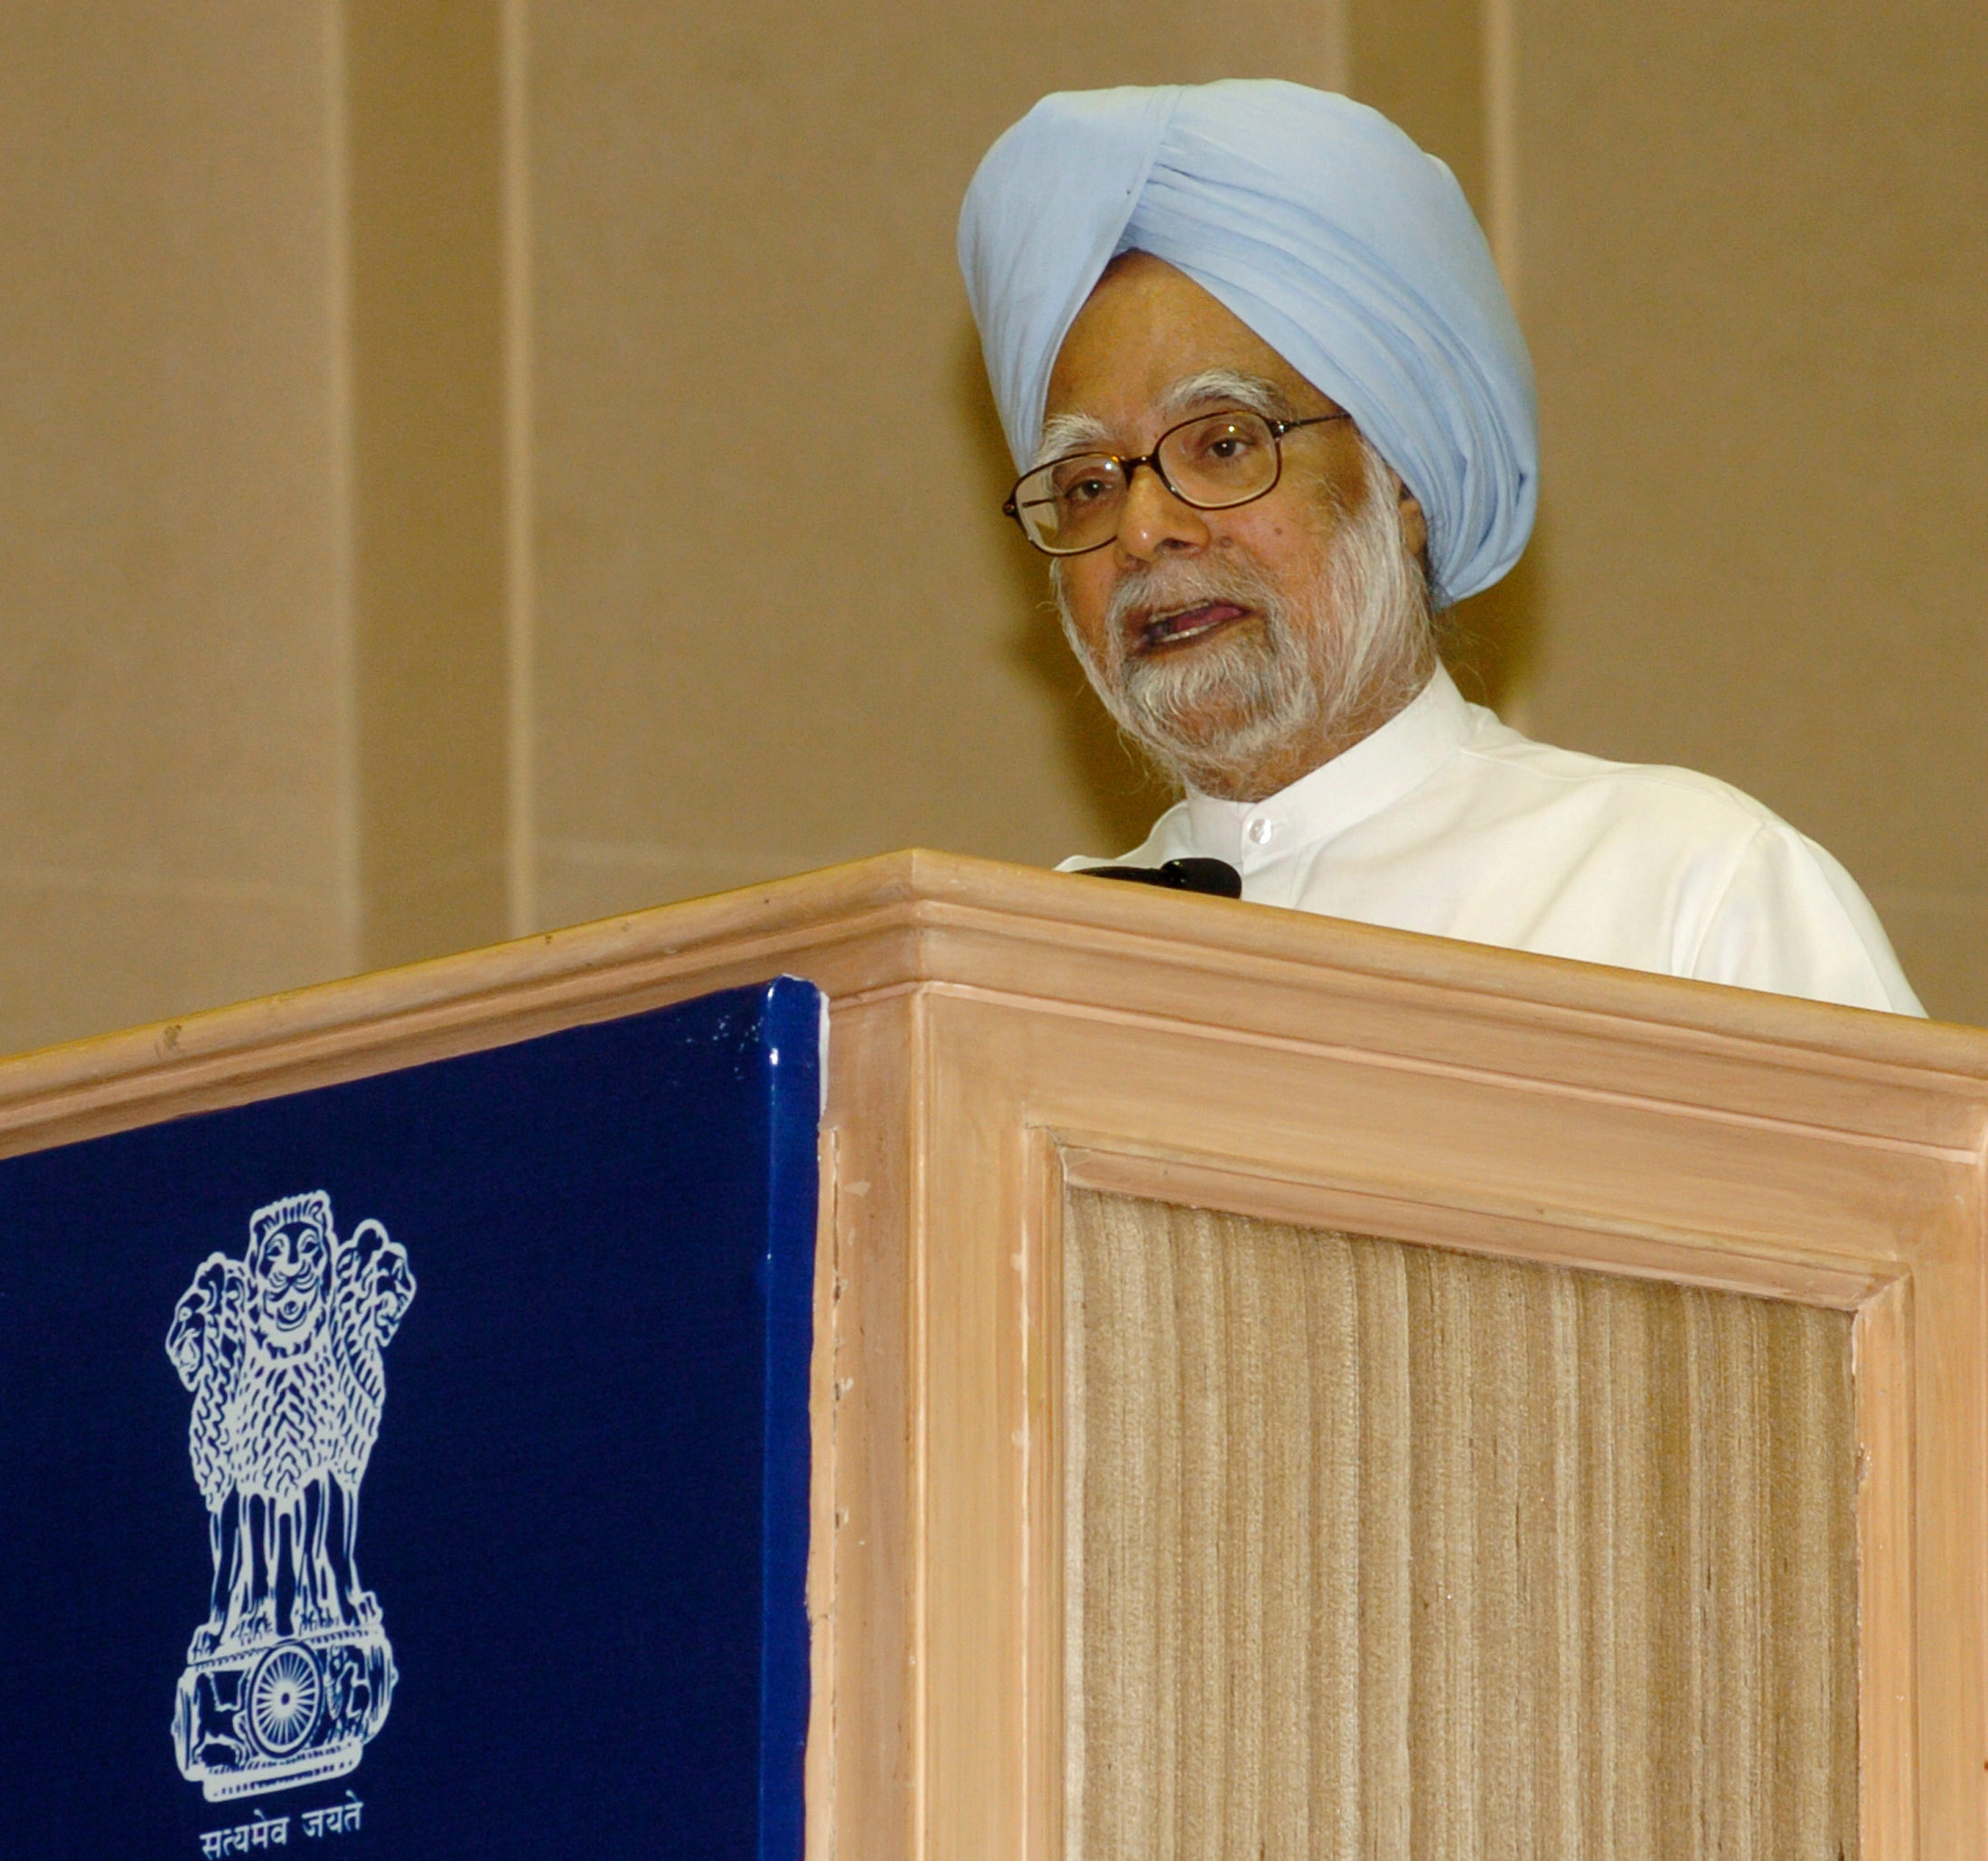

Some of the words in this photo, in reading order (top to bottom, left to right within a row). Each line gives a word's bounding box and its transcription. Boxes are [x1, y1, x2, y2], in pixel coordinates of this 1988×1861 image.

[196, 1805, 290, 1859] सत्यमेव
[295, 1783, 366, 1840] जयते